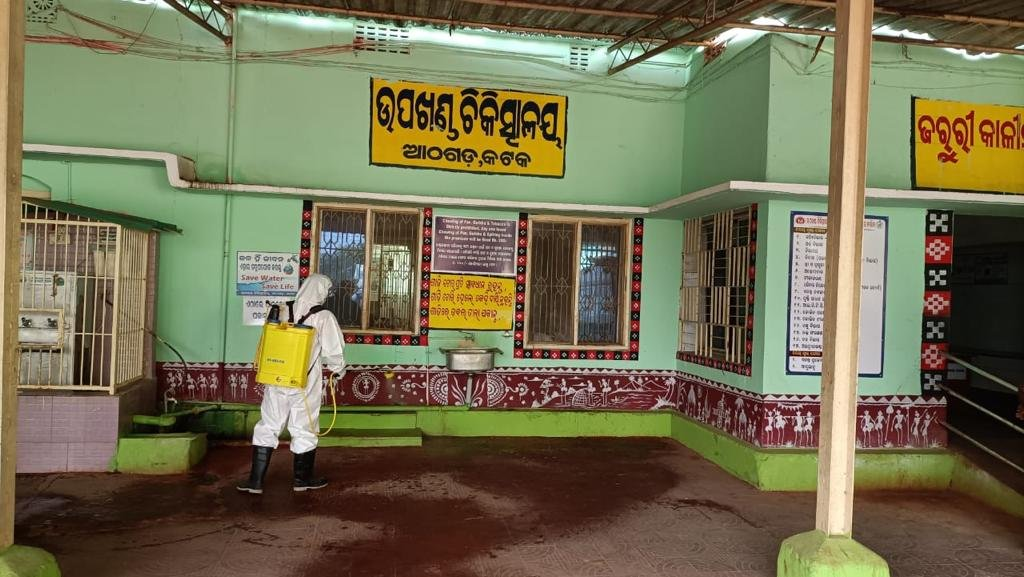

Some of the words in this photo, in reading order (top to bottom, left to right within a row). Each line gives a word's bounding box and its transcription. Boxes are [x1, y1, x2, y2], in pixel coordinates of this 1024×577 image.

[368, 79, 467, 149] ଉପଖଣ୍ଡ
[397, 140, 535, 171] ଆଠଗଡ଼,କଟକ
[453, 82, 565, 155] ଚିକିତ୍ସାଳୟ
[911, 103, 981, 167] ଜରୁରୀ